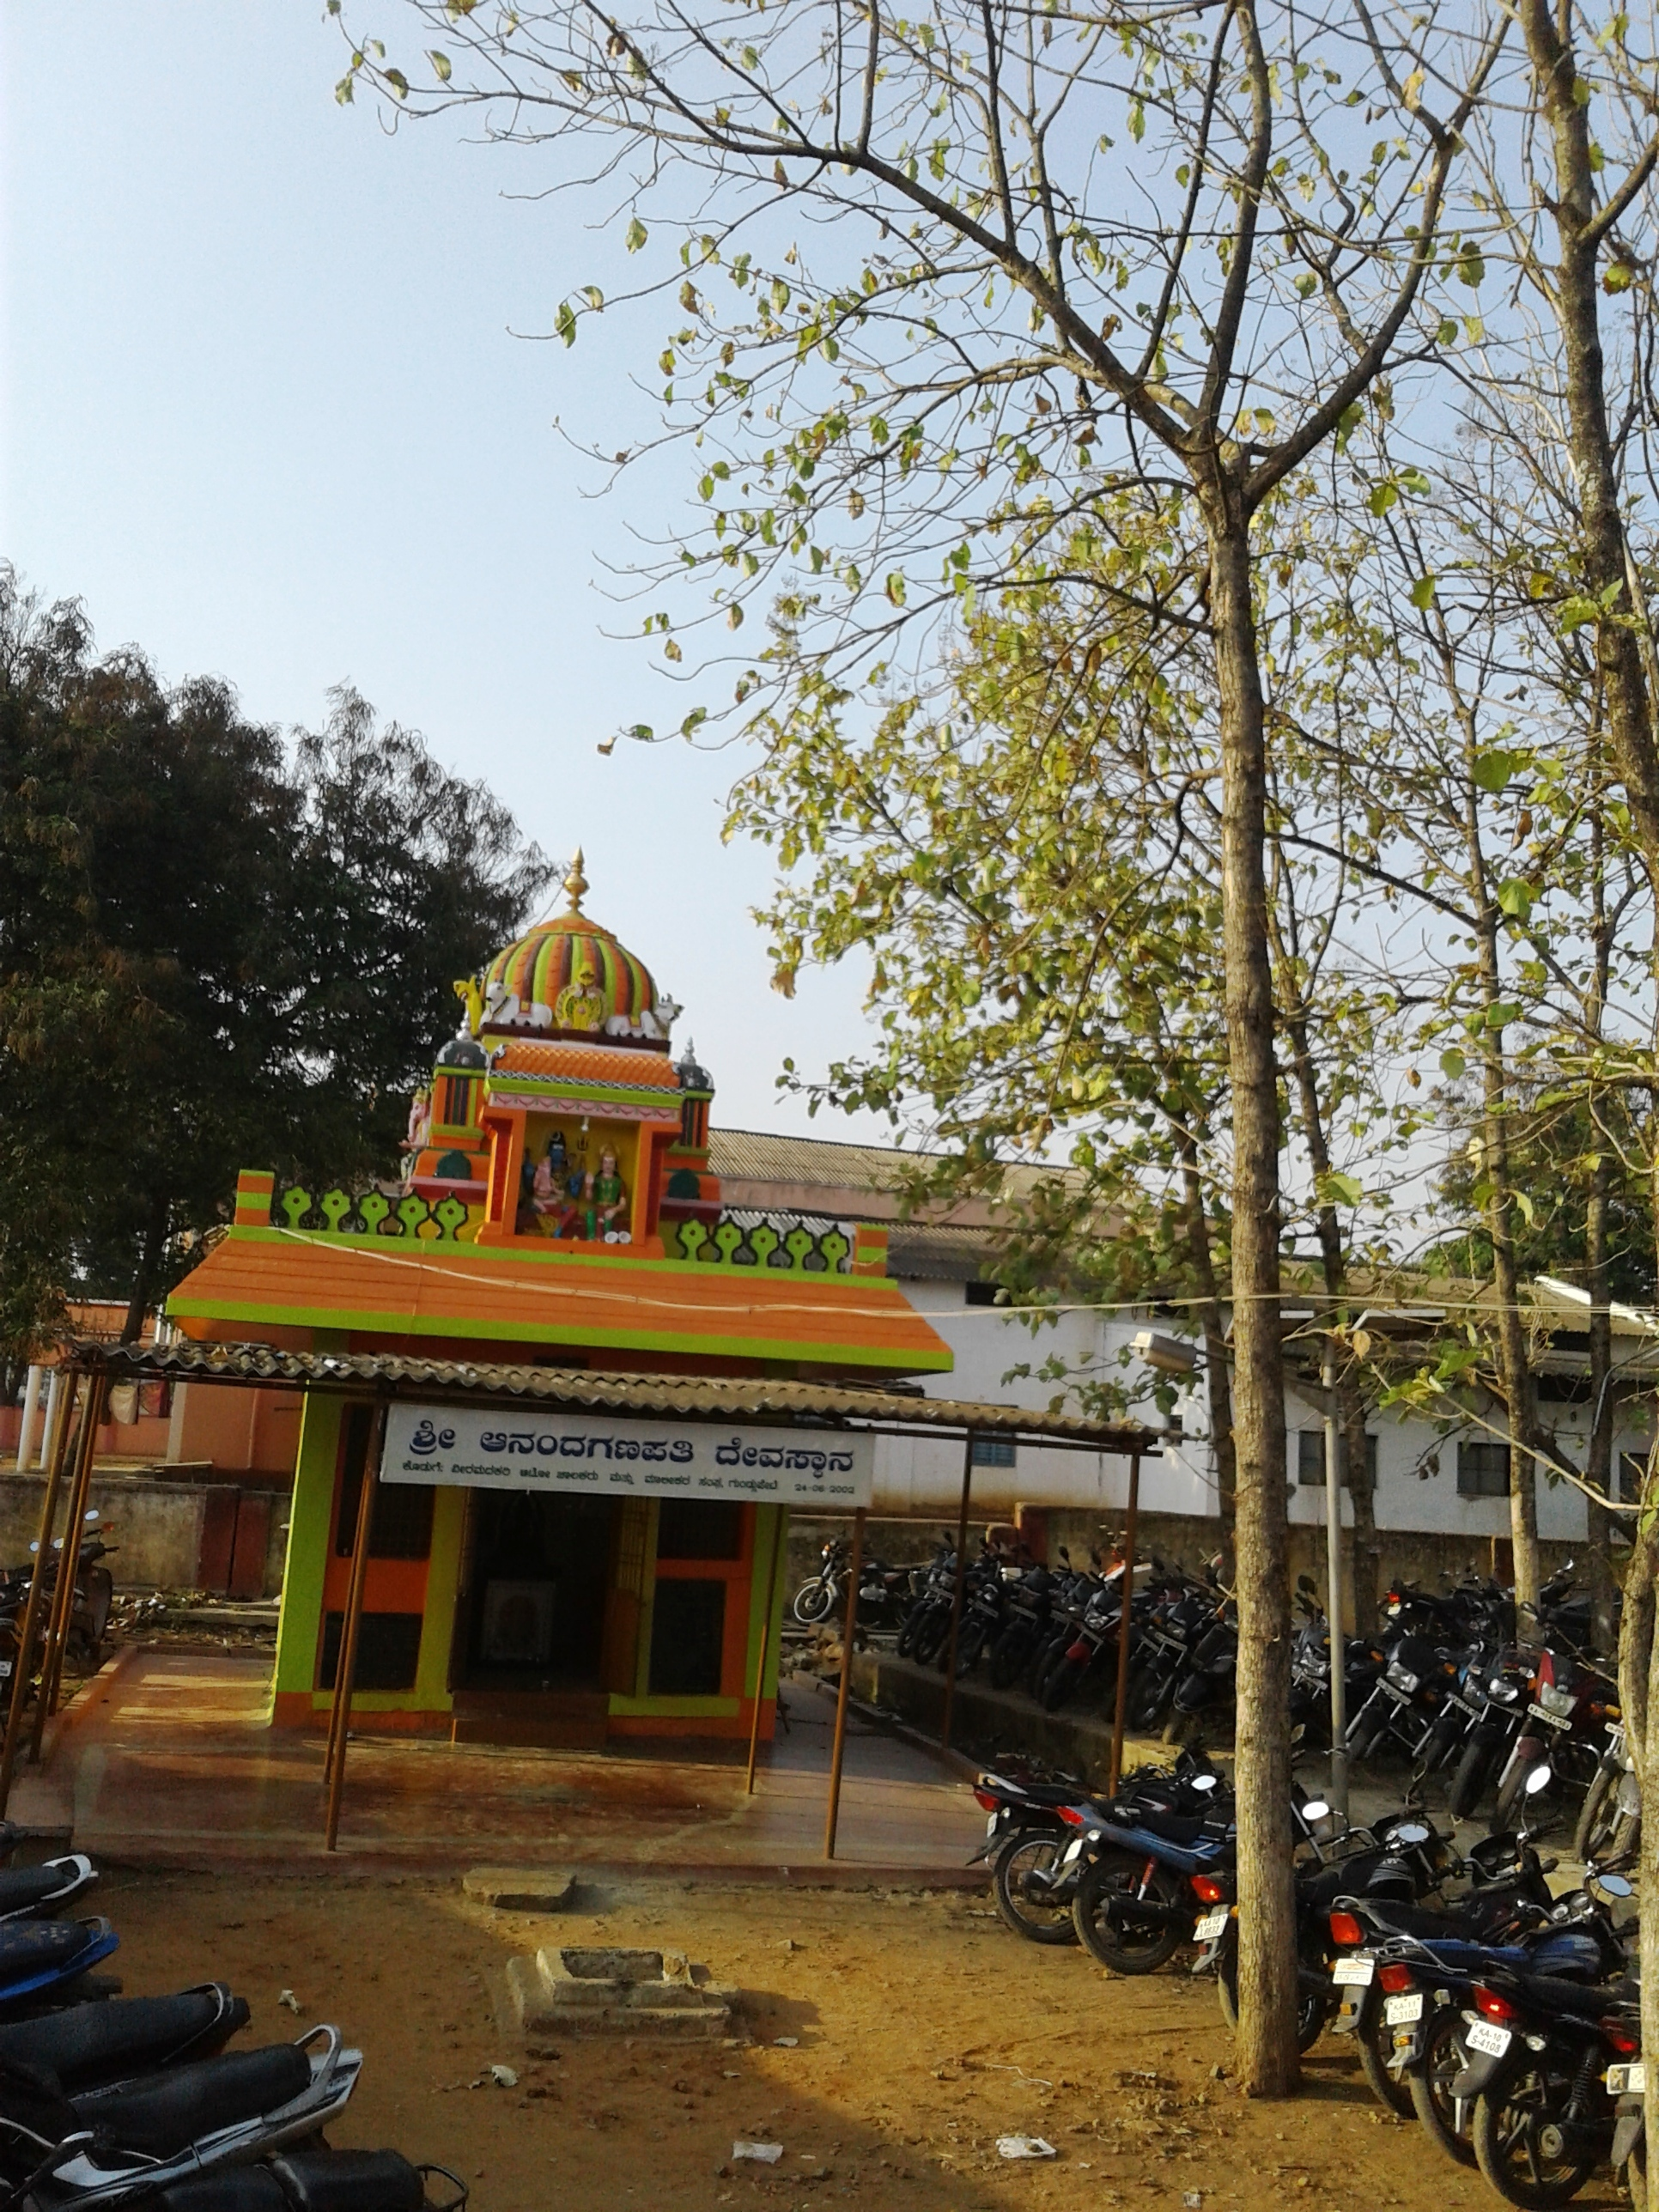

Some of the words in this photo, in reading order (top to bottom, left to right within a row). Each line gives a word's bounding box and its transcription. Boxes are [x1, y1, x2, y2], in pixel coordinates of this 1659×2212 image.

[402, 1412, 461, 1459] ಶ್ರೀ
[446, 1459, 516, 1479] ವೀರಮದಕರಿ
[551, 1462, 605, 1484] ಚಾಲಕರು
[473, 1426, 698, 1466] ಆನಂದಗಣಪತಿ
[709, 1433, 859, 1479] ದೇವಸ್ಥಾನ
[792, 1480, 860, 1498] 24-06-2002